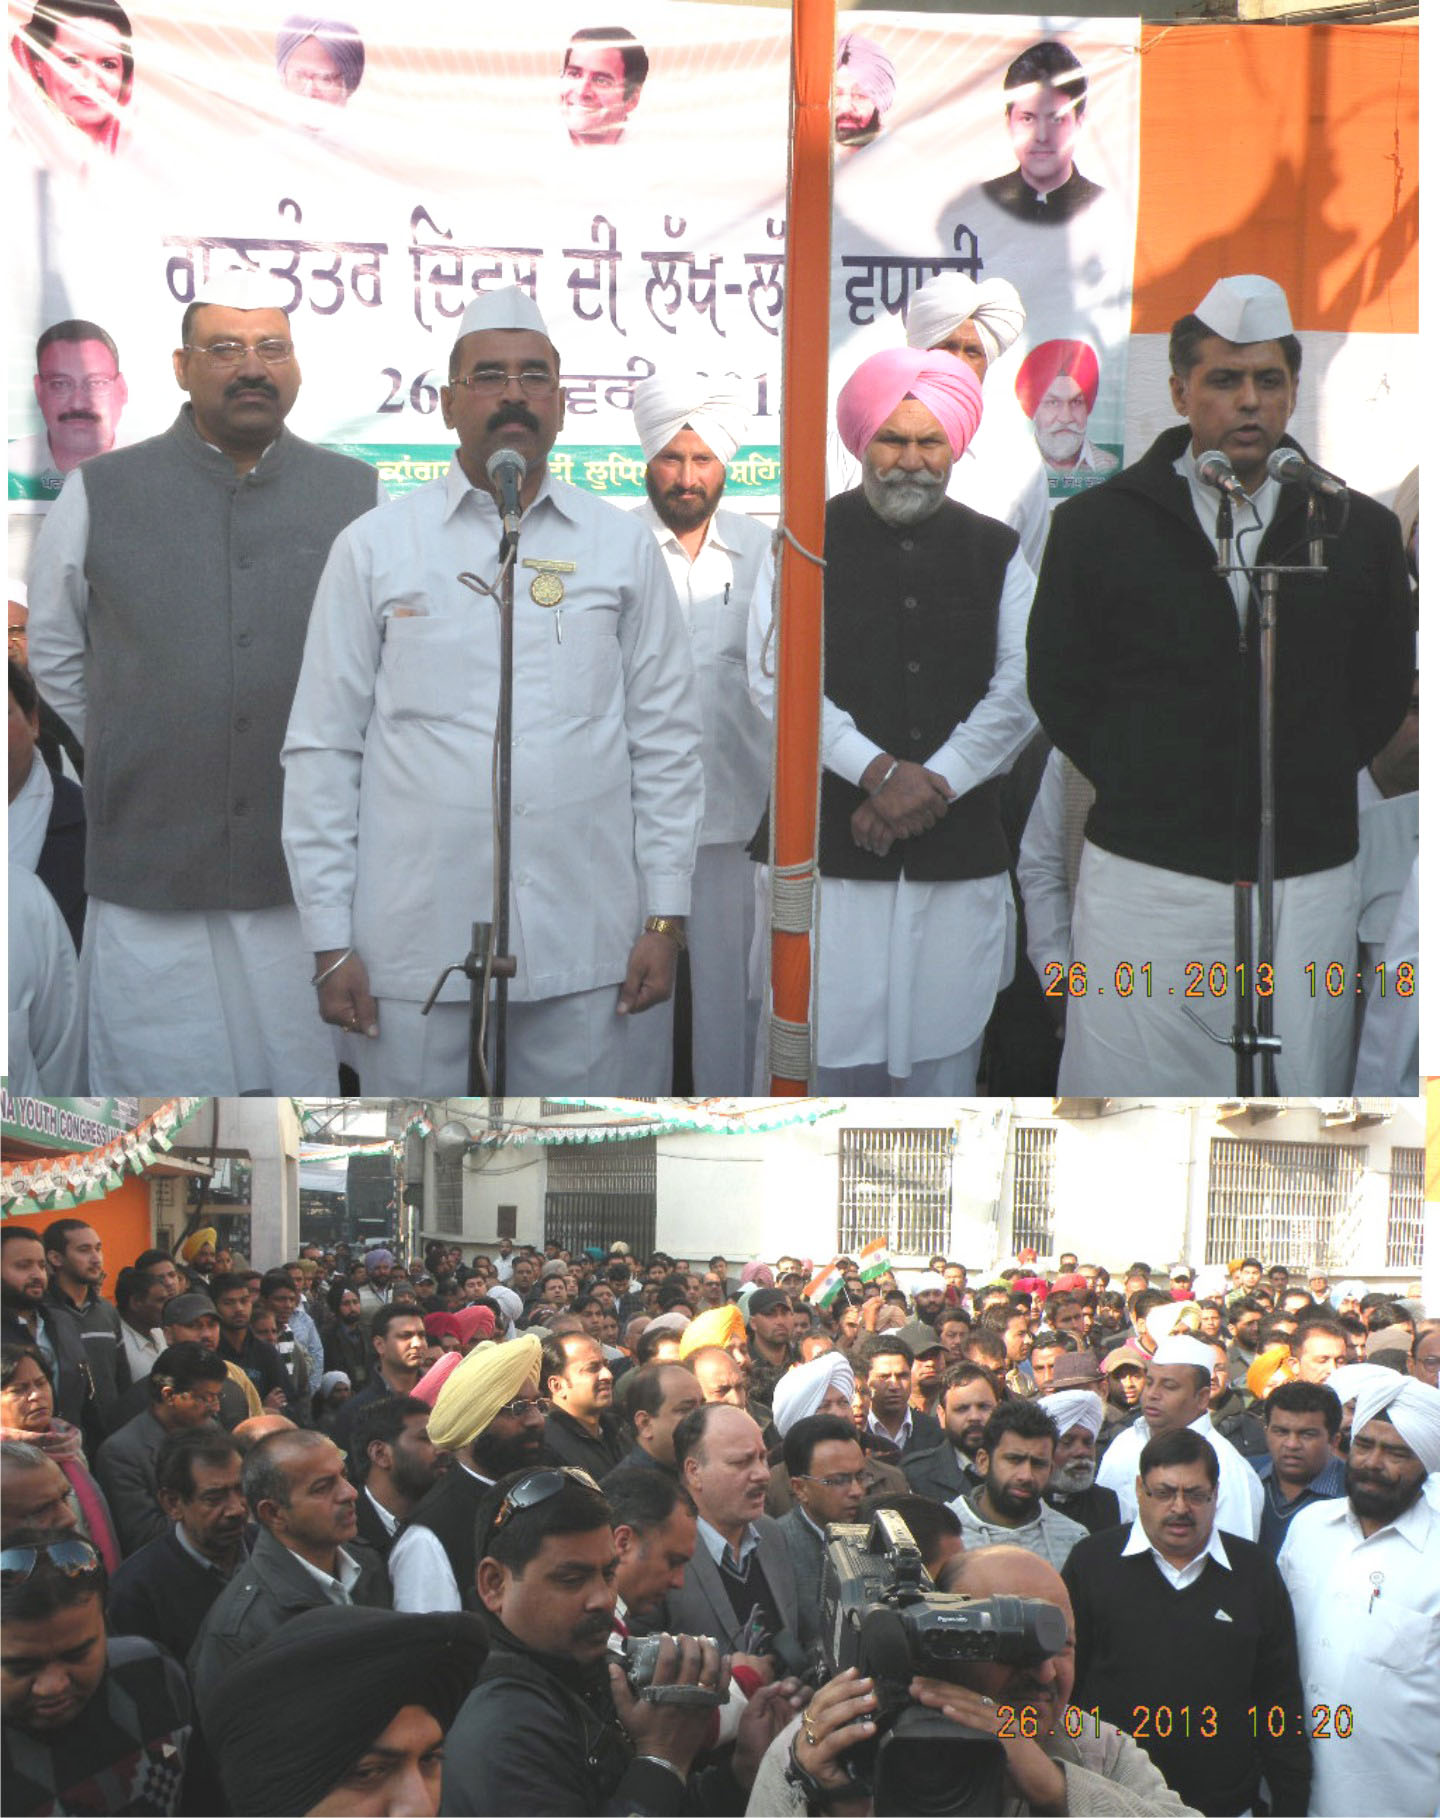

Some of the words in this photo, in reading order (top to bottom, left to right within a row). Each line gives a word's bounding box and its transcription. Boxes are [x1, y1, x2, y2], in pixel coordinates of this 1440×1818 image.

[302, 232, 397, 330] ਤਰ
[398, 198, 469, 339] ਦਿ
[555, 200, 641, 351] ਦੀ
[634, 207, 737, 350] ਲੱਖ
[835, 246, 909, 334] ਵਧ
[364, 355, 445, 425] 26
[749, 369, 779, 423] 1
[1031, 954, 1284, 1006] 26.01.2013
[1299, 953, 1420, 1004] 10:18
[17, 1097, 60, 1138] YOUTH
[58, 1107, 107, 1147] CONGRESS
[983, 1693, 1229, 1756] 26.01.2013
[1240, 1692, 1360, 1747] 10:20